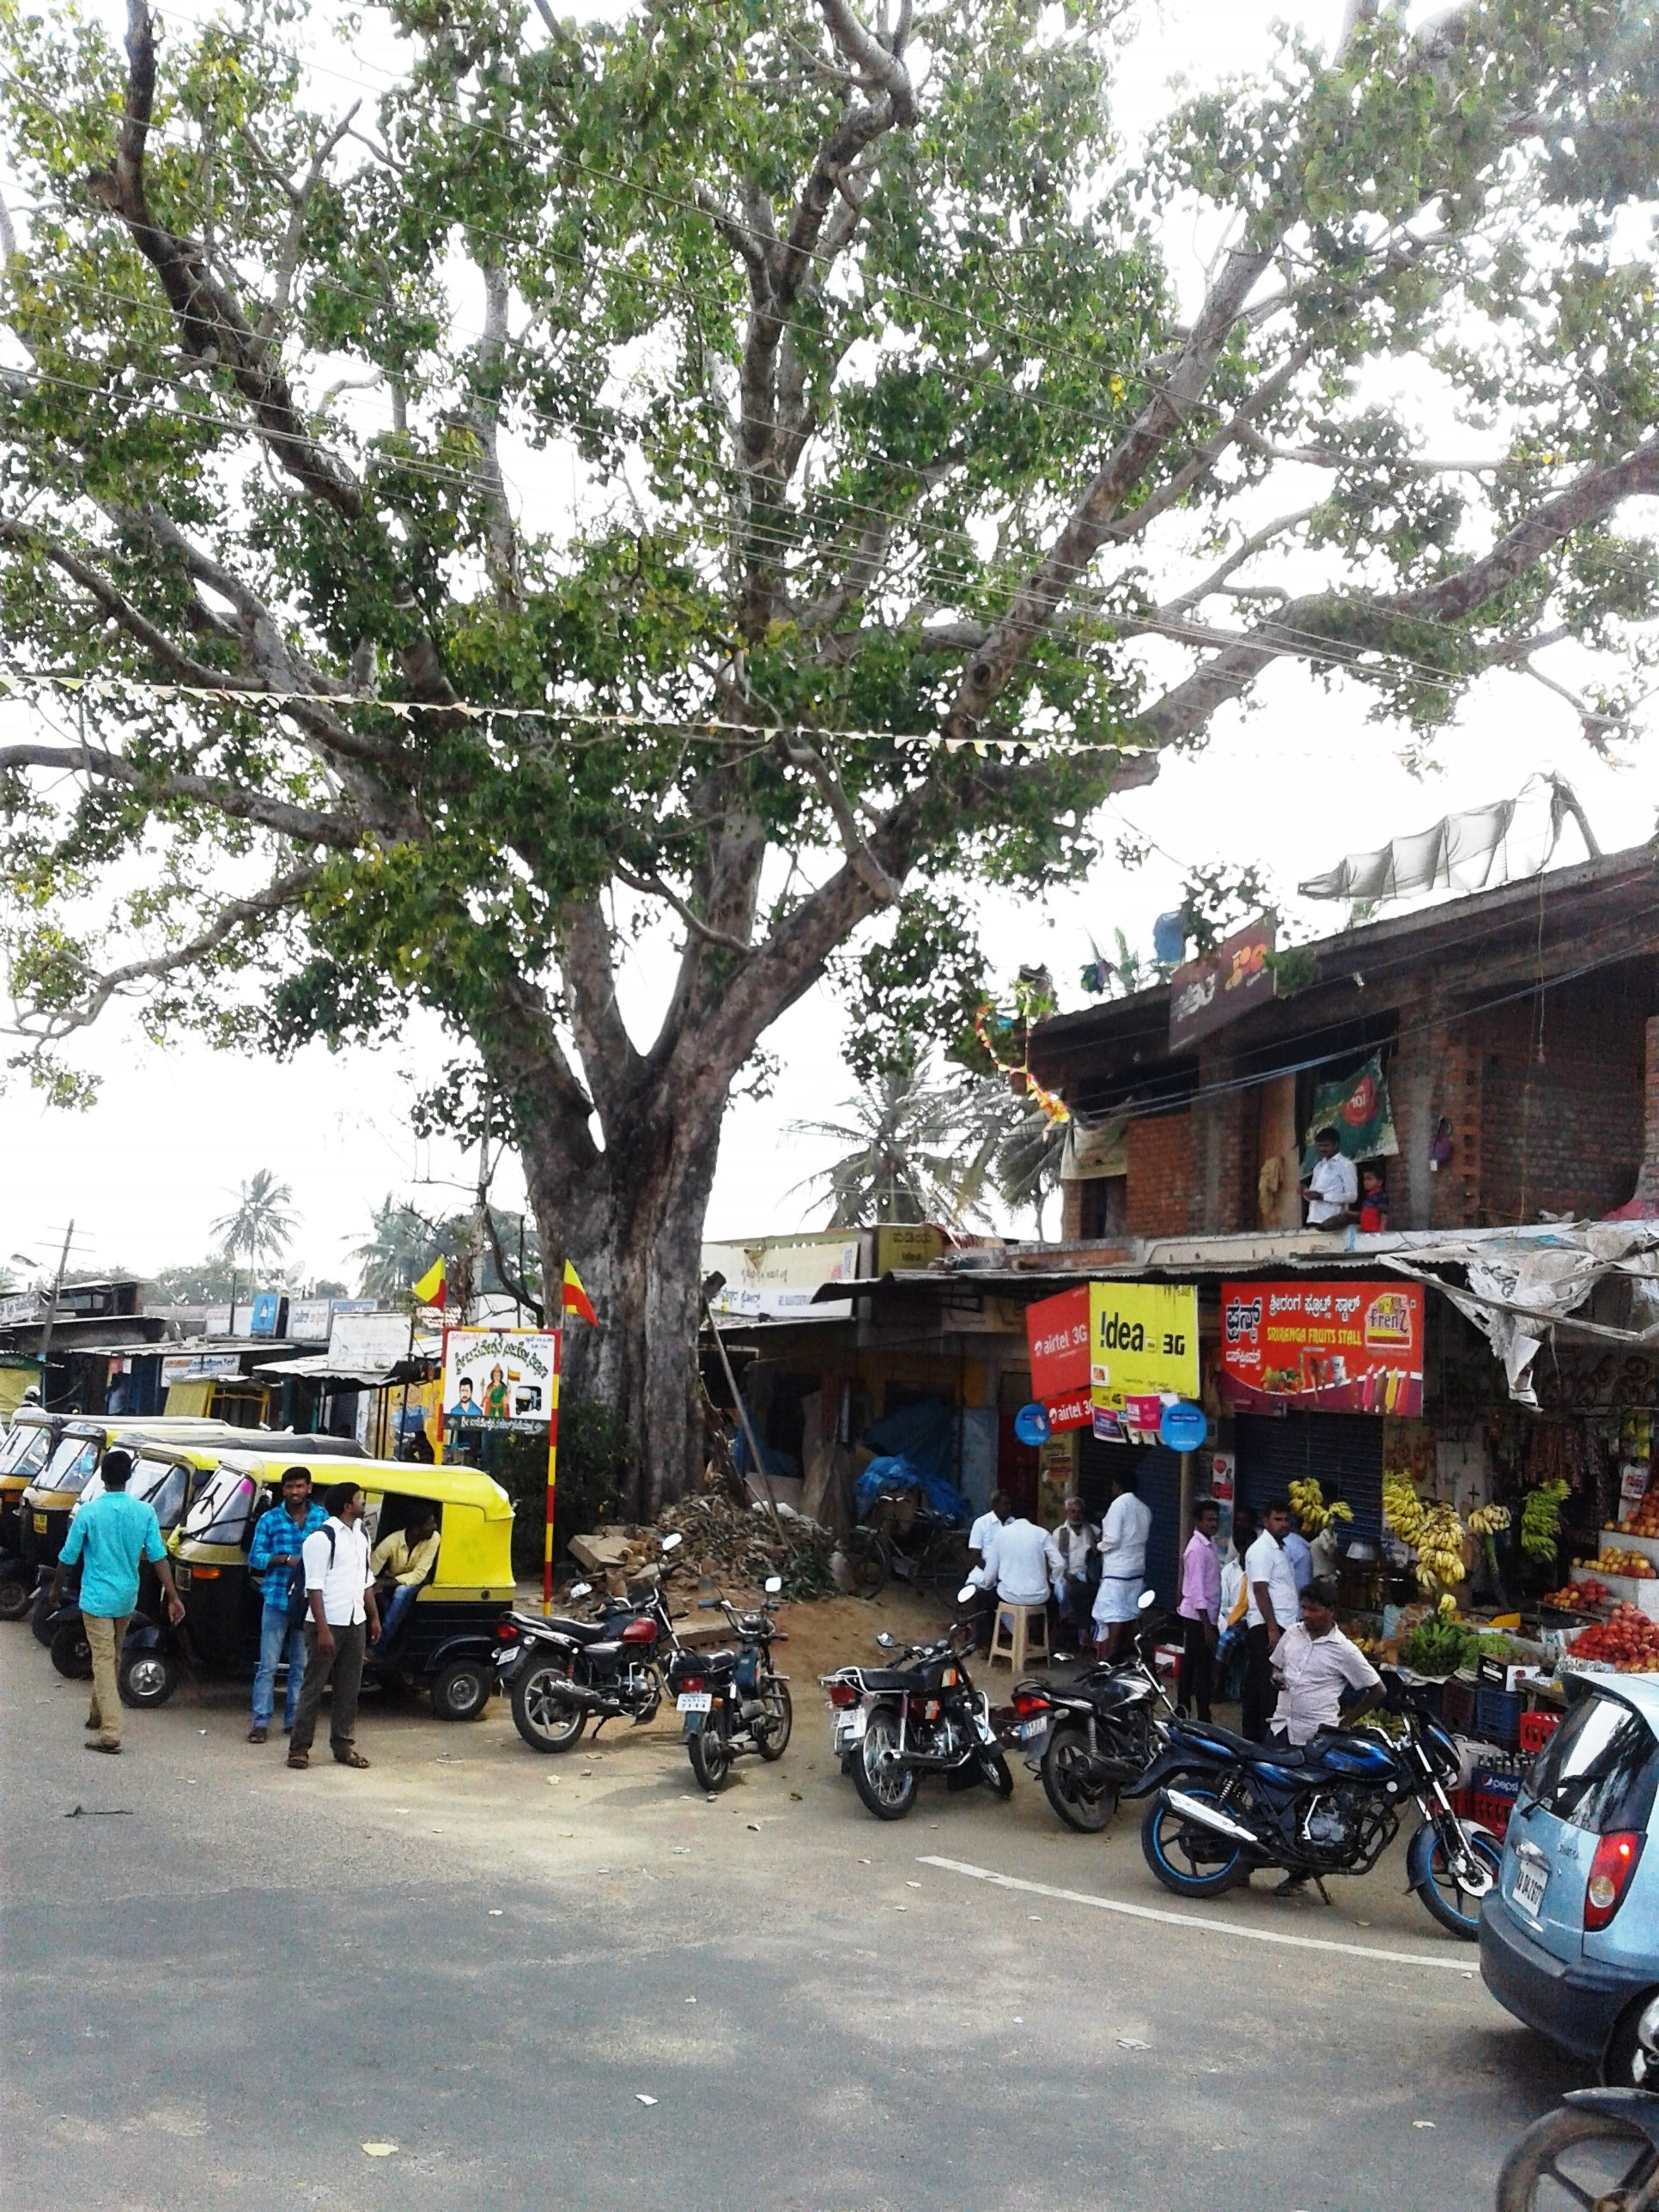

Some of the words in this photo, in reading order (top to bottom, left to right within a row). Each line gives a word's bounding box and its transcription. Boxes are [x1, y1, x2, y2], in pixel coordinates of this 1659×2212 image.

[890, 1224, 939, 1249] ಐಡಿಯ
[1038, 1328, 1075, 1358] airtel
[1066, 1318, 1091, 1349] 3G
[1096, 1310, 1149, 1351] !dea
[1157, 1329, 1188, 1357] 3G
[1257, 1324, 1308, 1348] SRIRANGA
[1267, 1291, 1304, 1321] ಶ್ರೀರಂಗ
[1299, 1291, 1335, 1323] ಫ್ರೂಟ್ಸ್
[1304, 1324, 1340, 1347] FRUITS
[1330, 1294, 1363, 1325] ಸ್ಟಾಲ್
[1332, 1327, 1366, 1349] STALL
[1368, 1304, 1413, 1337] frenZ
[1052, 1398, 1086, 1425] airtel